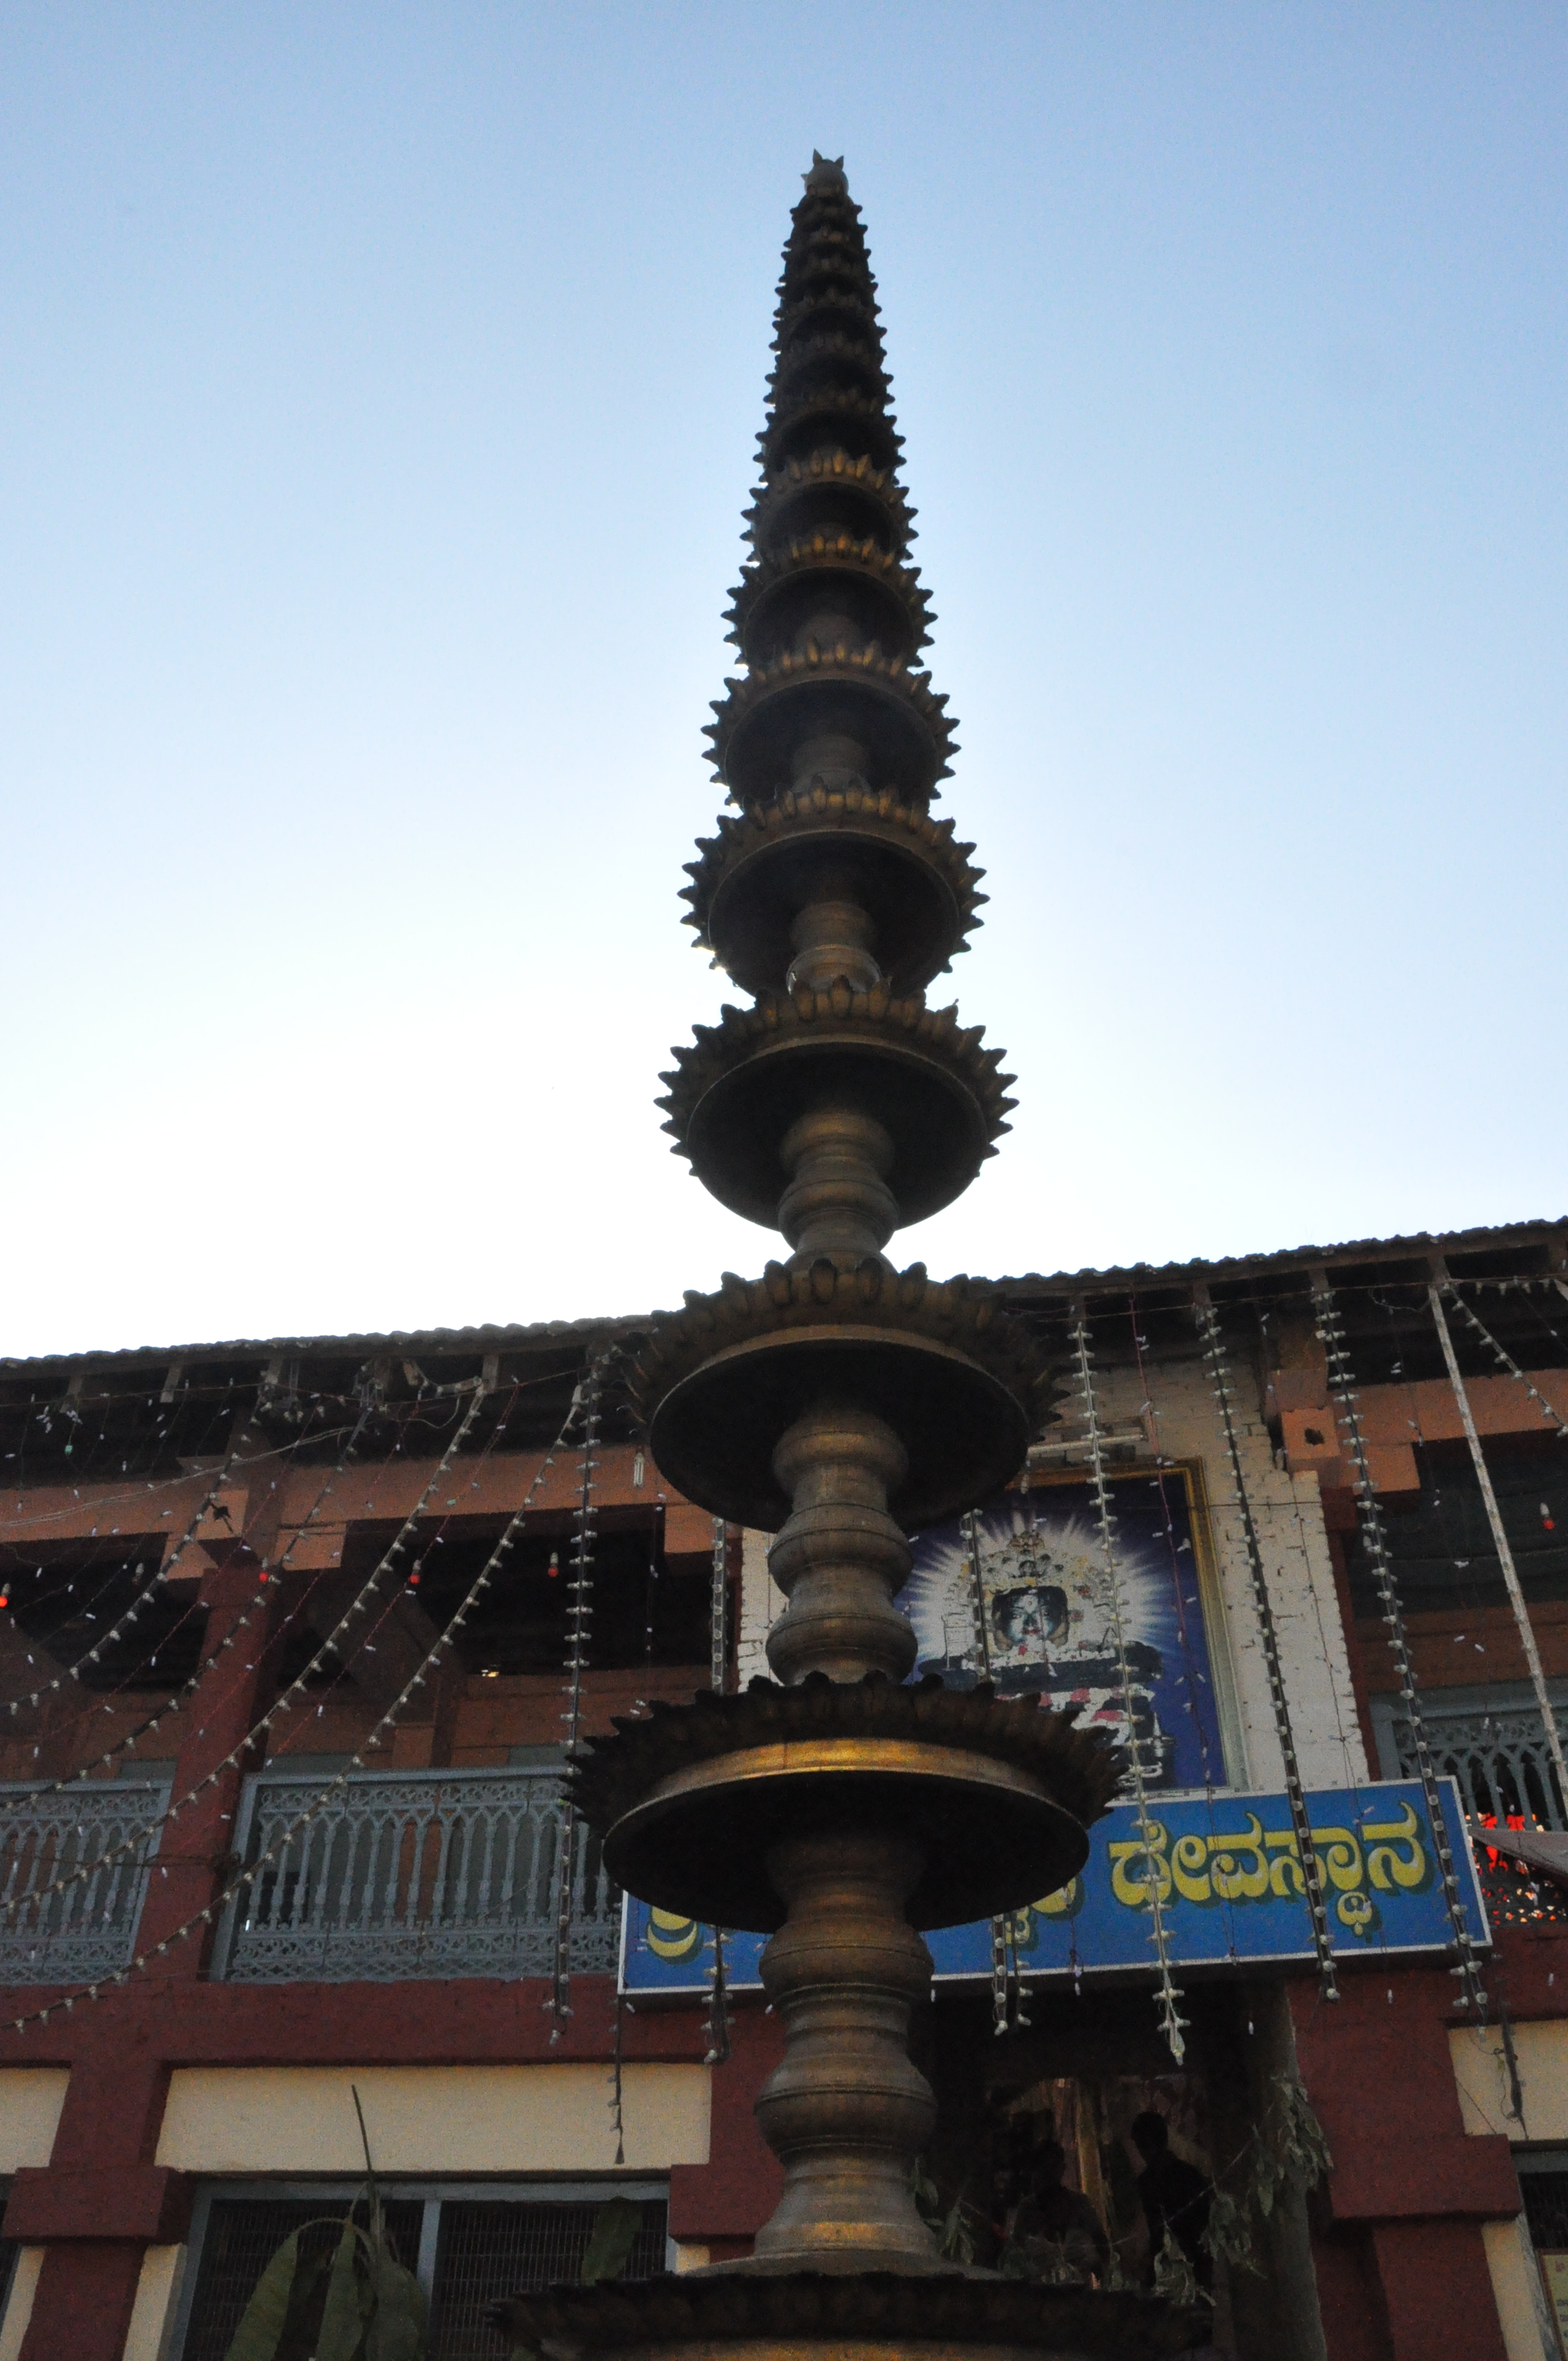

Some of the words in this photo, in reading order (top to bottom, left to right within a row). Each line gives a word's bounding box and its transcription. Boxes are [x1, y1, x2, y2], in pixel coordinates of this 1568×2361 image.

[1101, 1793, 1434, 1933] ದೇವಸ್ಥಾನ